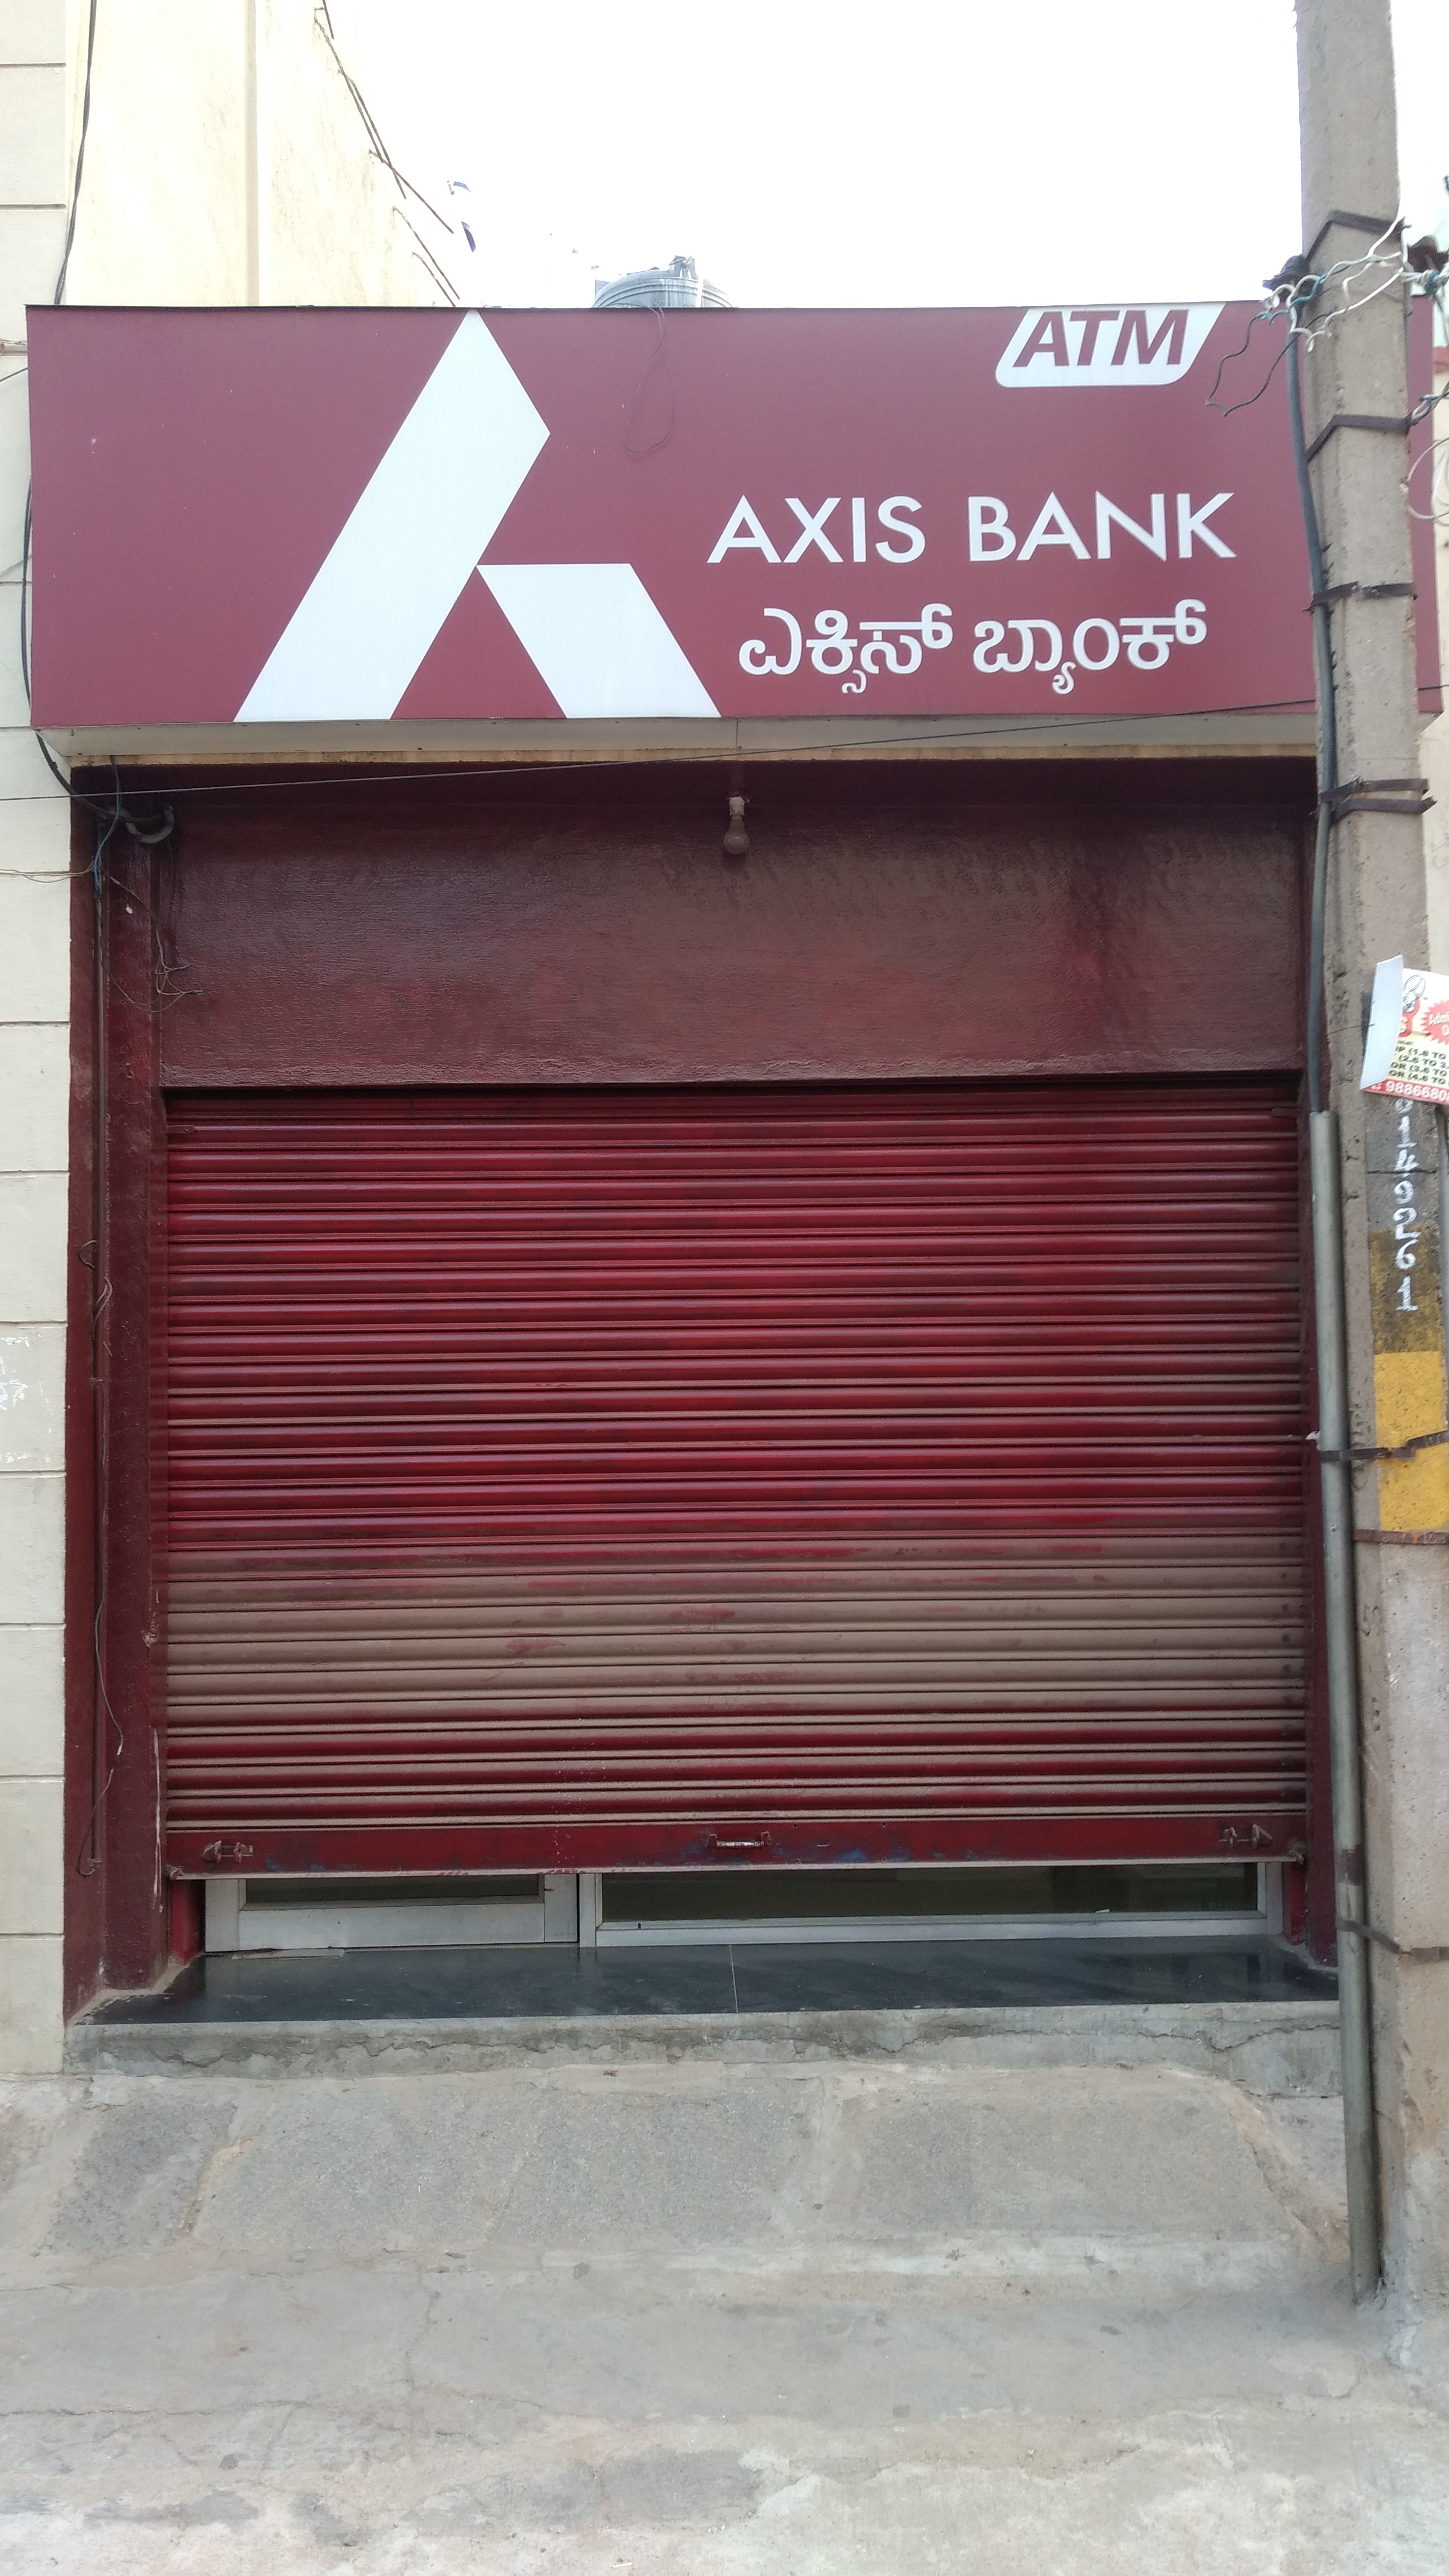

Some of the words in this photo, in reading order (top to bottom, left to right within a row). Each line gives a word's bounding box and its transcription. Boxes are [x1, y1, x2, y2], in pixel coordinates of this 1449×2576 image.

[1008, 297, 1196, 373] ATM
[702, 490, 931, 566] AXIS
[966, 489, 1240, 564] BANK
[731, 600, 958, 697] ಎಕ್ಸಿಸ್
[968, 595, 1210, 697] ಬ್ಯಾಂಕ್